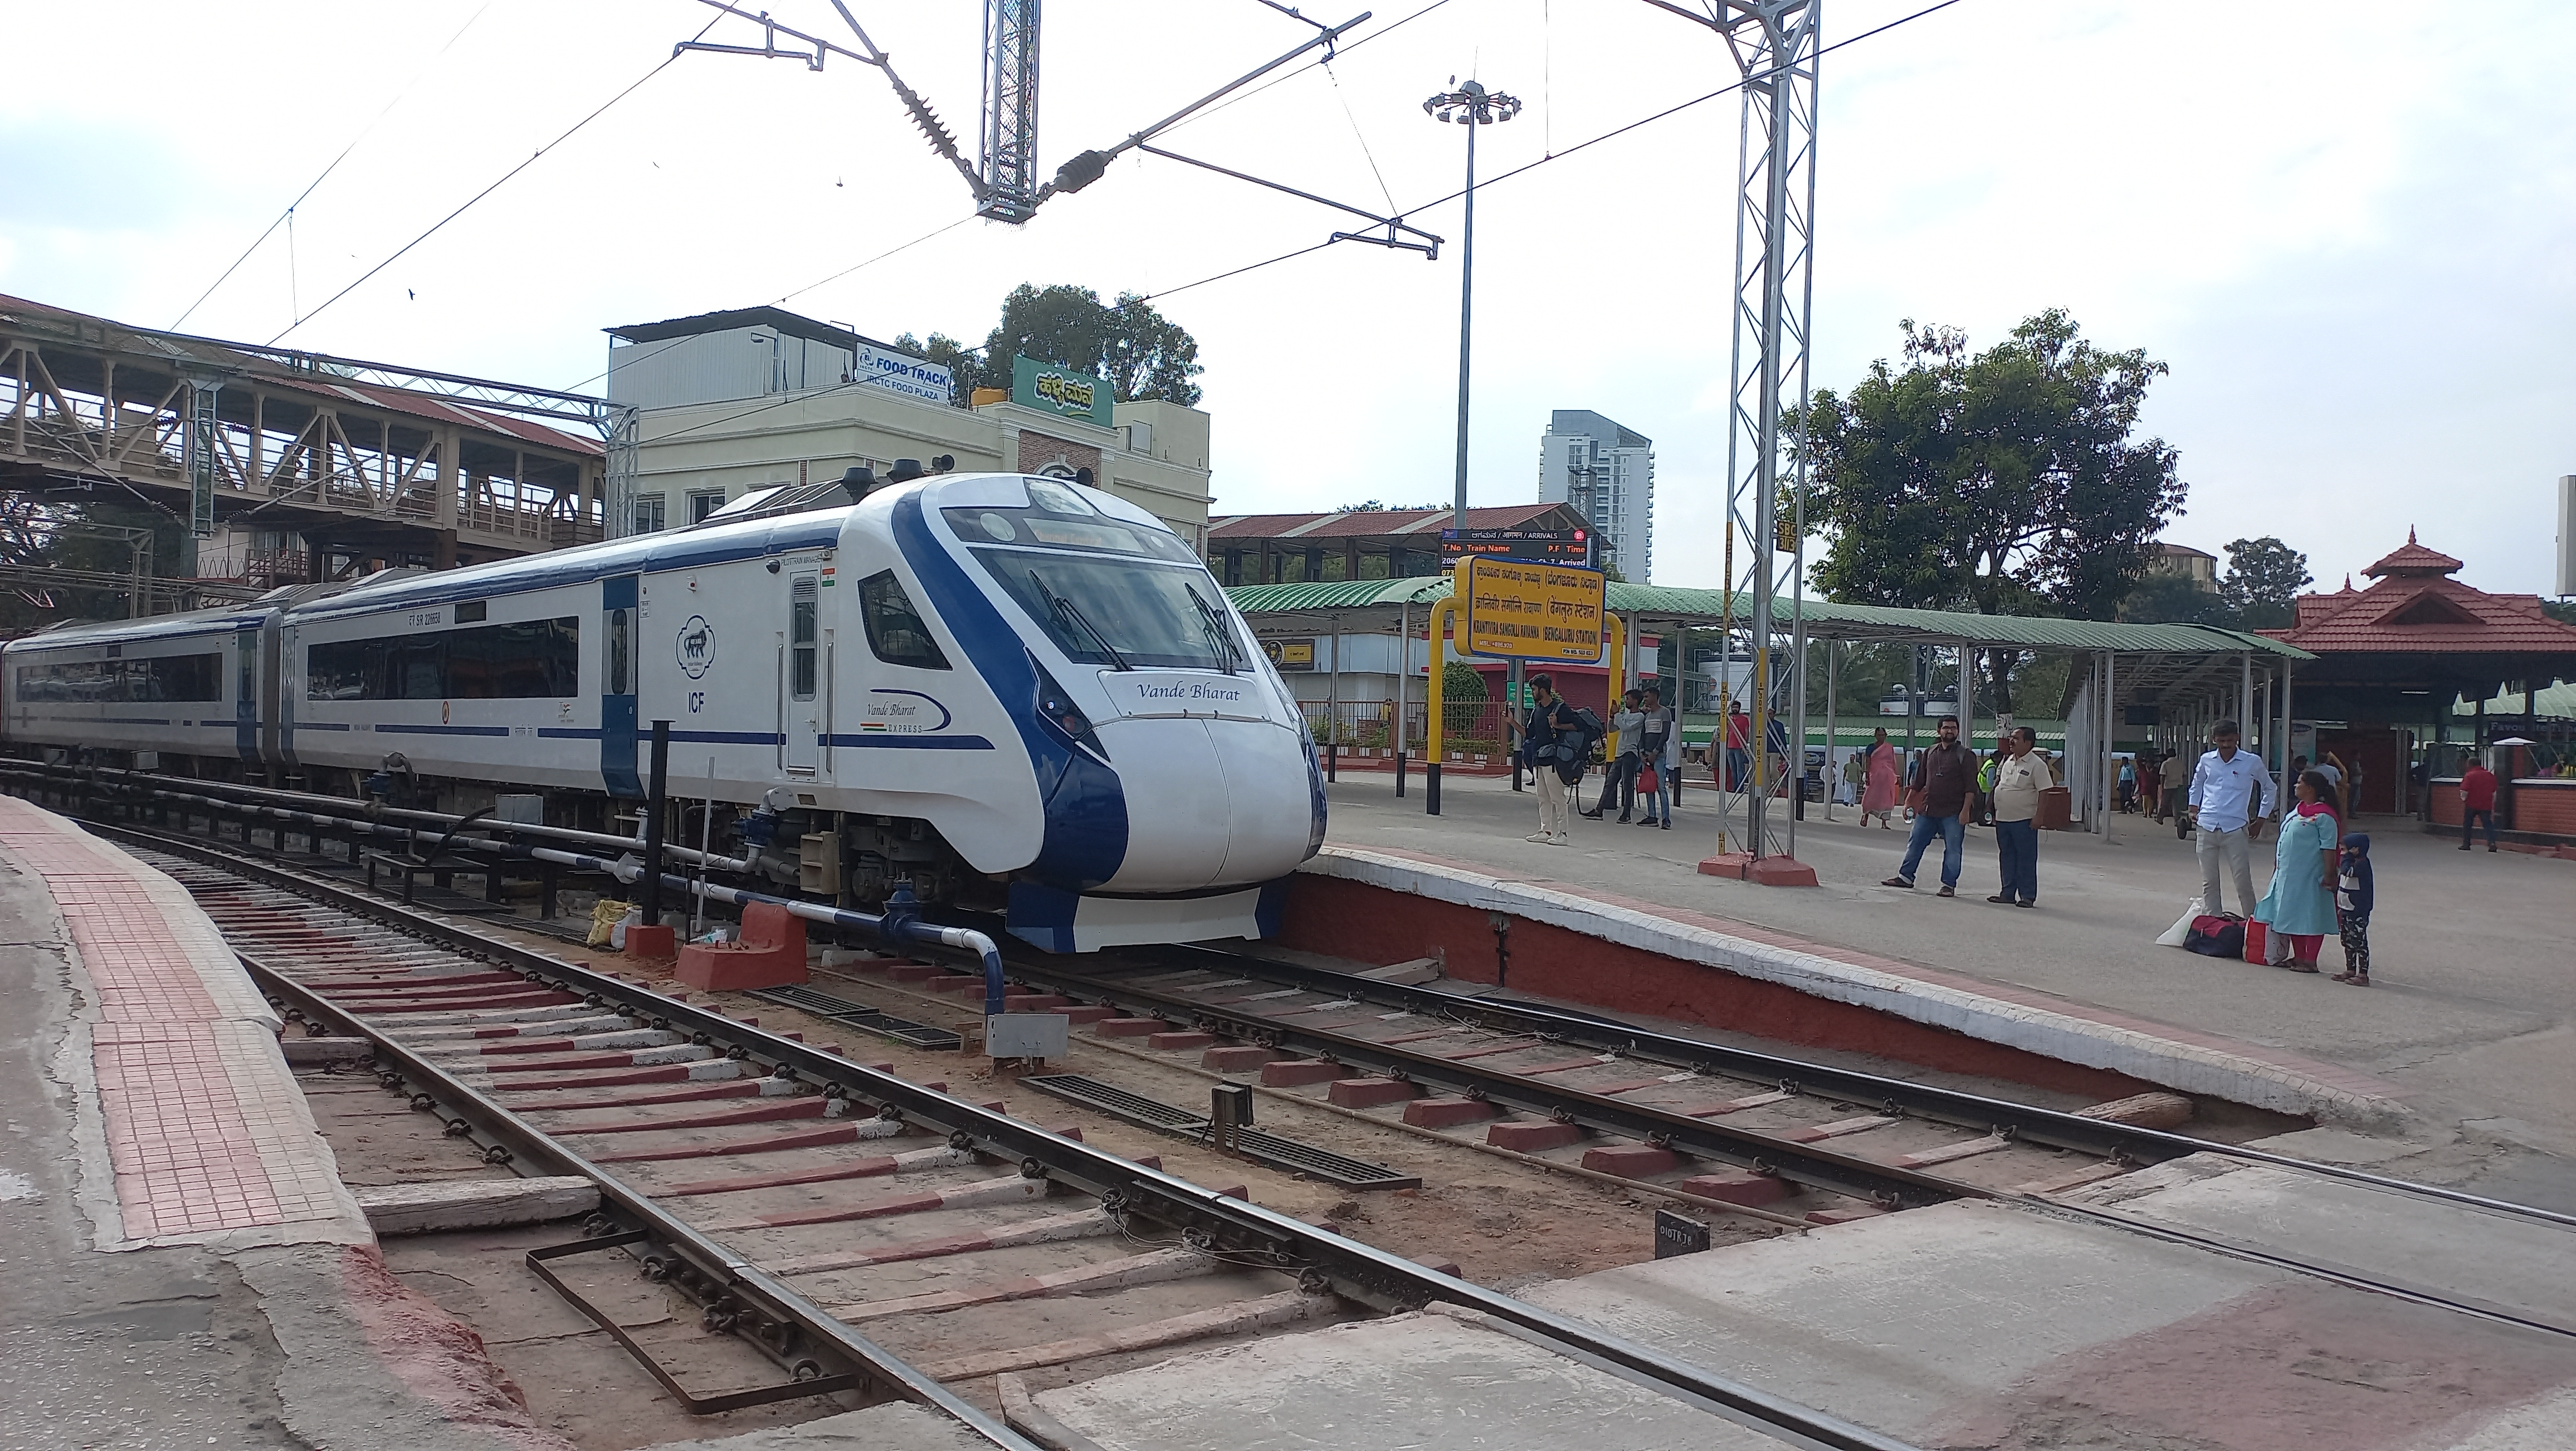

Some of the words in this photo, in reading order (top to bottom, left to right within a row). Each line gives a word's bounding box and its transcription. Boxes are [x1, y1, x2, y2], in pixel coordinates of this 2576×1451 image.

[865, 372, 892, 389] IRCTC
[875, 355, 910, 379] FOOD
[887, 378, 915, 396] FOOD
[914, 384, 940, 403] PLAZA
[910, 363, 950, 388] TRACK
[1035, 369, 1097, 413] ಹಳ್ಳಿಮನ
[1468, 527, 1500, 541] ಆಗಮನ
[1499, 529, 1526, 541] आगमन
[1525, 530, 1560, 541] ARRIVALS
[1441, 541, 1463, 555] T.No
[1462, 541, 1490, 555] Train
[1484, 541, 1511, 556] Name
[1545, 543, 1563, 556] P.F
[1564, 542, 1588, 557] Time
[1475, 563, 1504, 583] ಶ್ರಾಂತಿಏಕ
[1498, 564, 1525, 590] ಸಂಗೊಳ್ಳ
[1521, 568, 1544, 592] ರಾಯಣ್ಣ
[1545, 567, 1582, 590] ಬೆಂಗಳೂರು
[1577, 575, 1600, 598] ನಿಲ್ದಾಣ)
[1471, 589, 1502, 613] क्रान्तिवीर
[1499, 590, 1525, 616] संगोल्लि
[1521, 599, 1545, 616] रायाण्ण
[1547, 591, 1576, 627] बेंगलुरु
[1571, 595, 1597, 622] स्टेशन
[1470, 617, 1501, 636] KRANTIVIRA
[1499, 620, 1541, 641] ಇಚಿ
[1541, 624, 1577, 647] (BENGALURU
[1573, 627, 1601, 648] STATION)